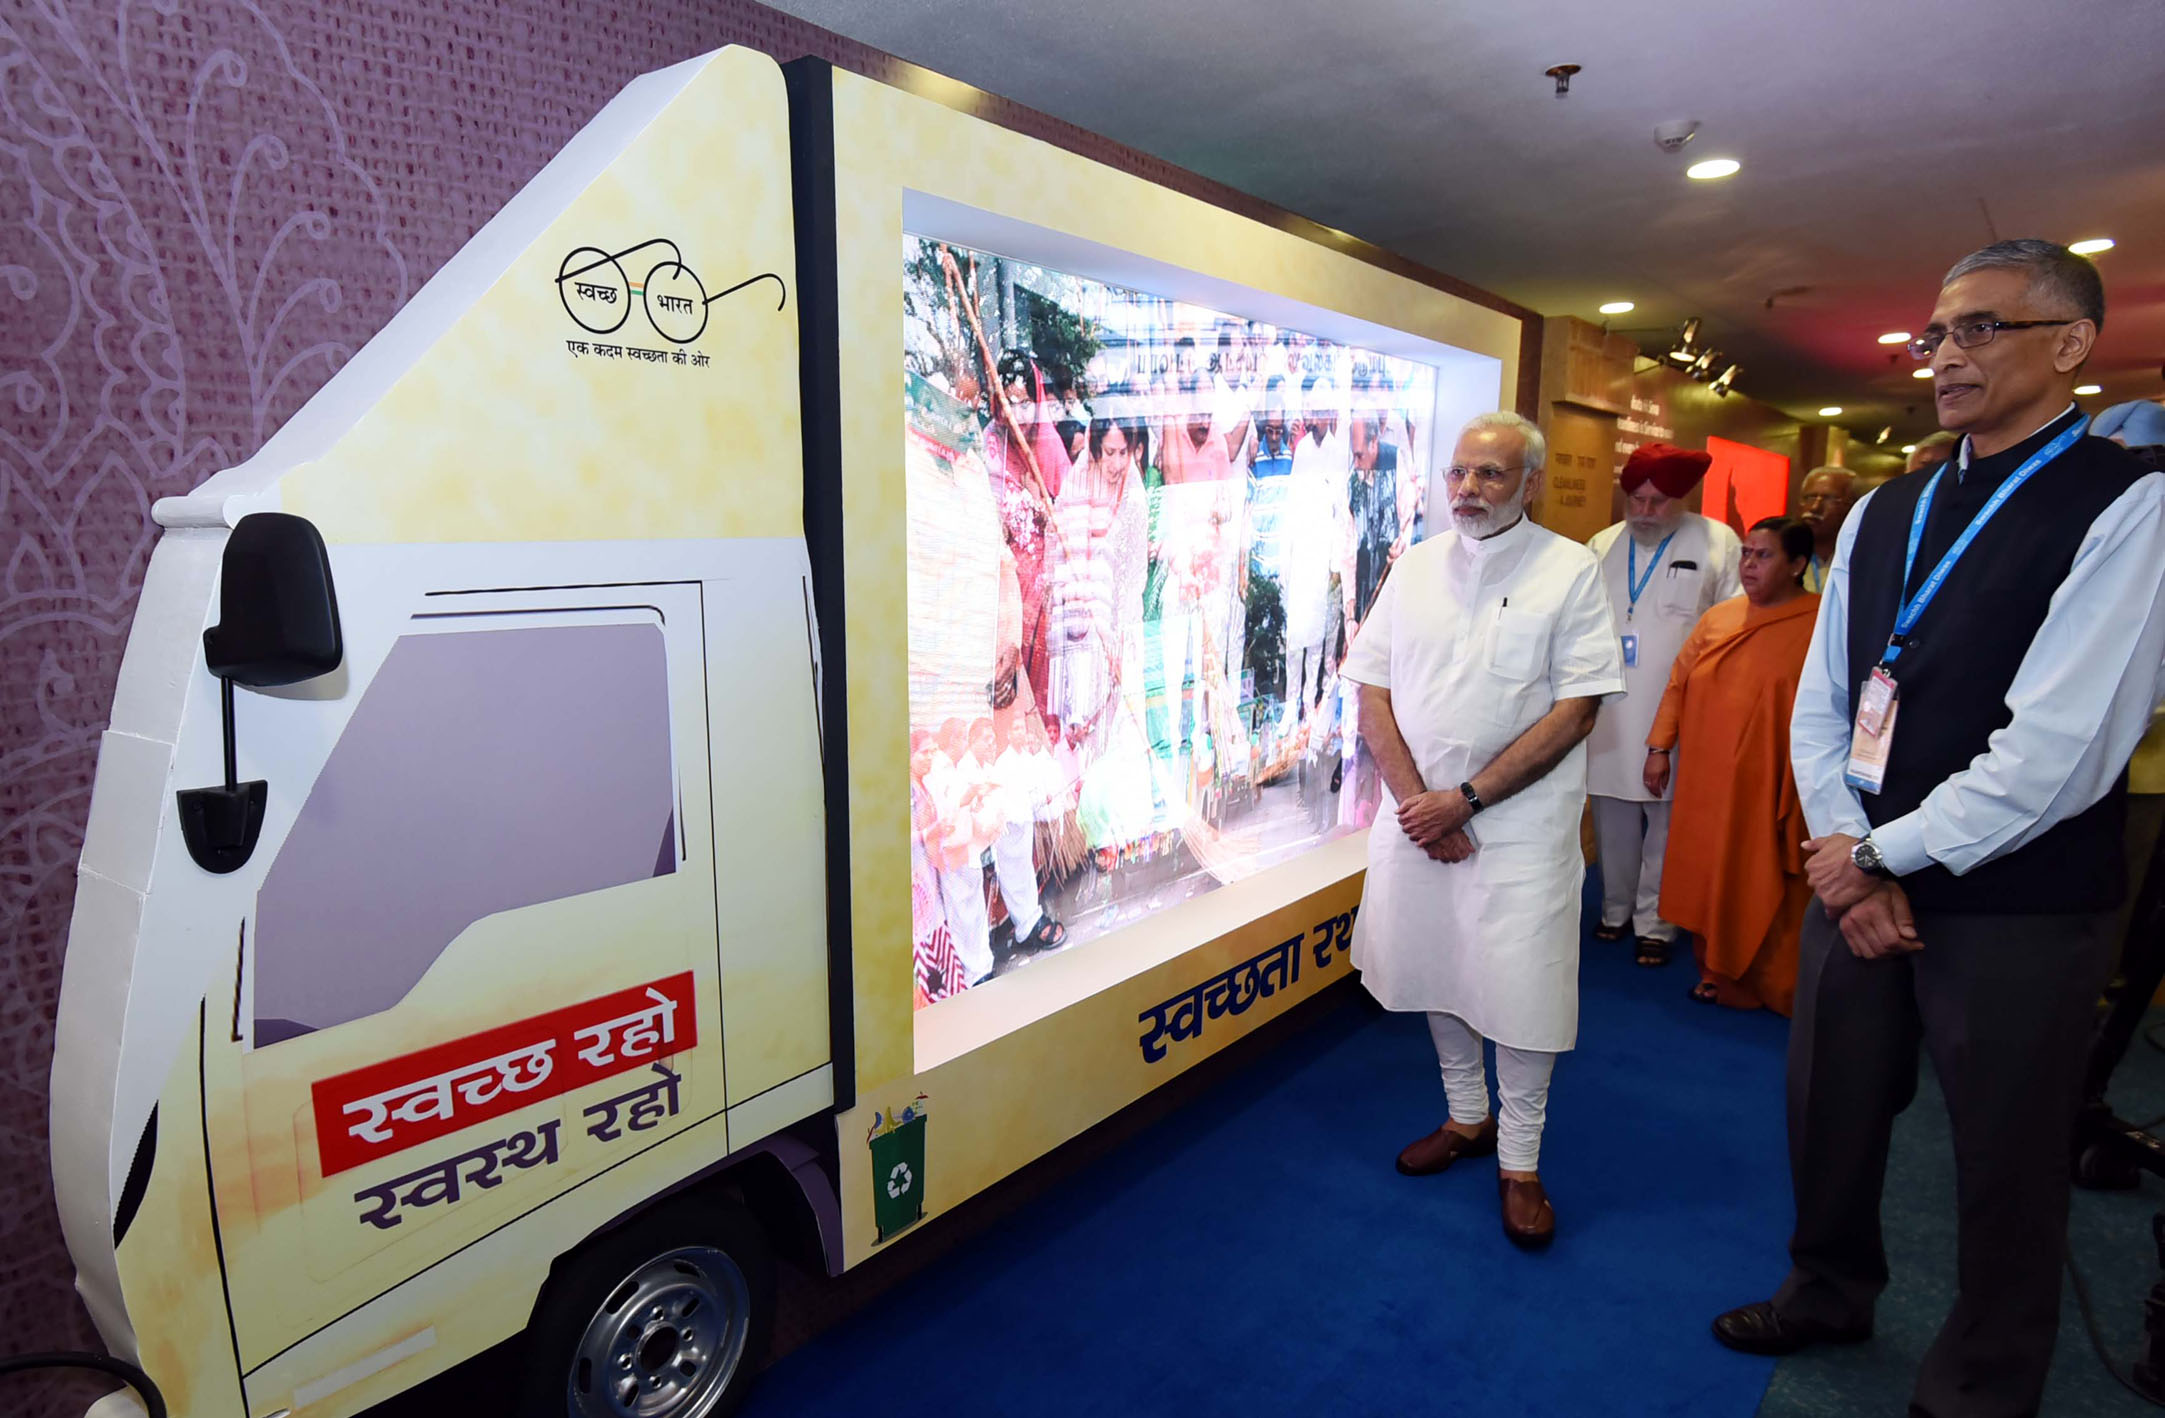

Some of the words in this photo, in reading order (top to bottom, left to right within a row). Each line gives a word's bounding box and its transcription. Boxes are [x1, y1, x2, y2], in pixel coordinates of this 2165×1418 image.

[572, 279, 621, 310] स्वच्छ
[654, 289, 697, 320] भारत
[561, 335, 596, 362] एक
[587, 336, 628, 365] कदम
[620, 340, 672, 367] स्वच्छता
[664, 342, 695, 371] की
[685, 344, 715, 376] ओर
[1135, 926, 1307, 1074] स्वच्छता
[569, 978, 682, 1074] रहो
[337, 1034, 562, 1151] स्वच्छ
[577, 1059, 687, 1151] रहो
[352, 1112, 565, 1245] स्वस्थ